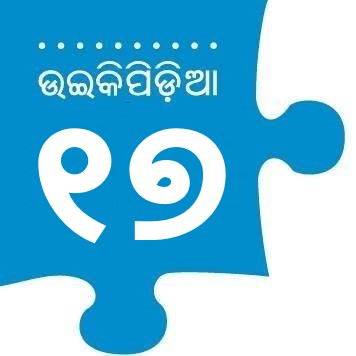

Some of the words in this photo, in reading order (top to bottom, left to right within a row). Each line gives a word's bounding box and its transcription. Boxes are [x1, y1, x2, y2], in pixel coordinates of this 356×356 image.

[35, 54, 221, 106] ଉଇକିପିଡ଼ିଆ
[23, 114, 232, 258] ୧୭